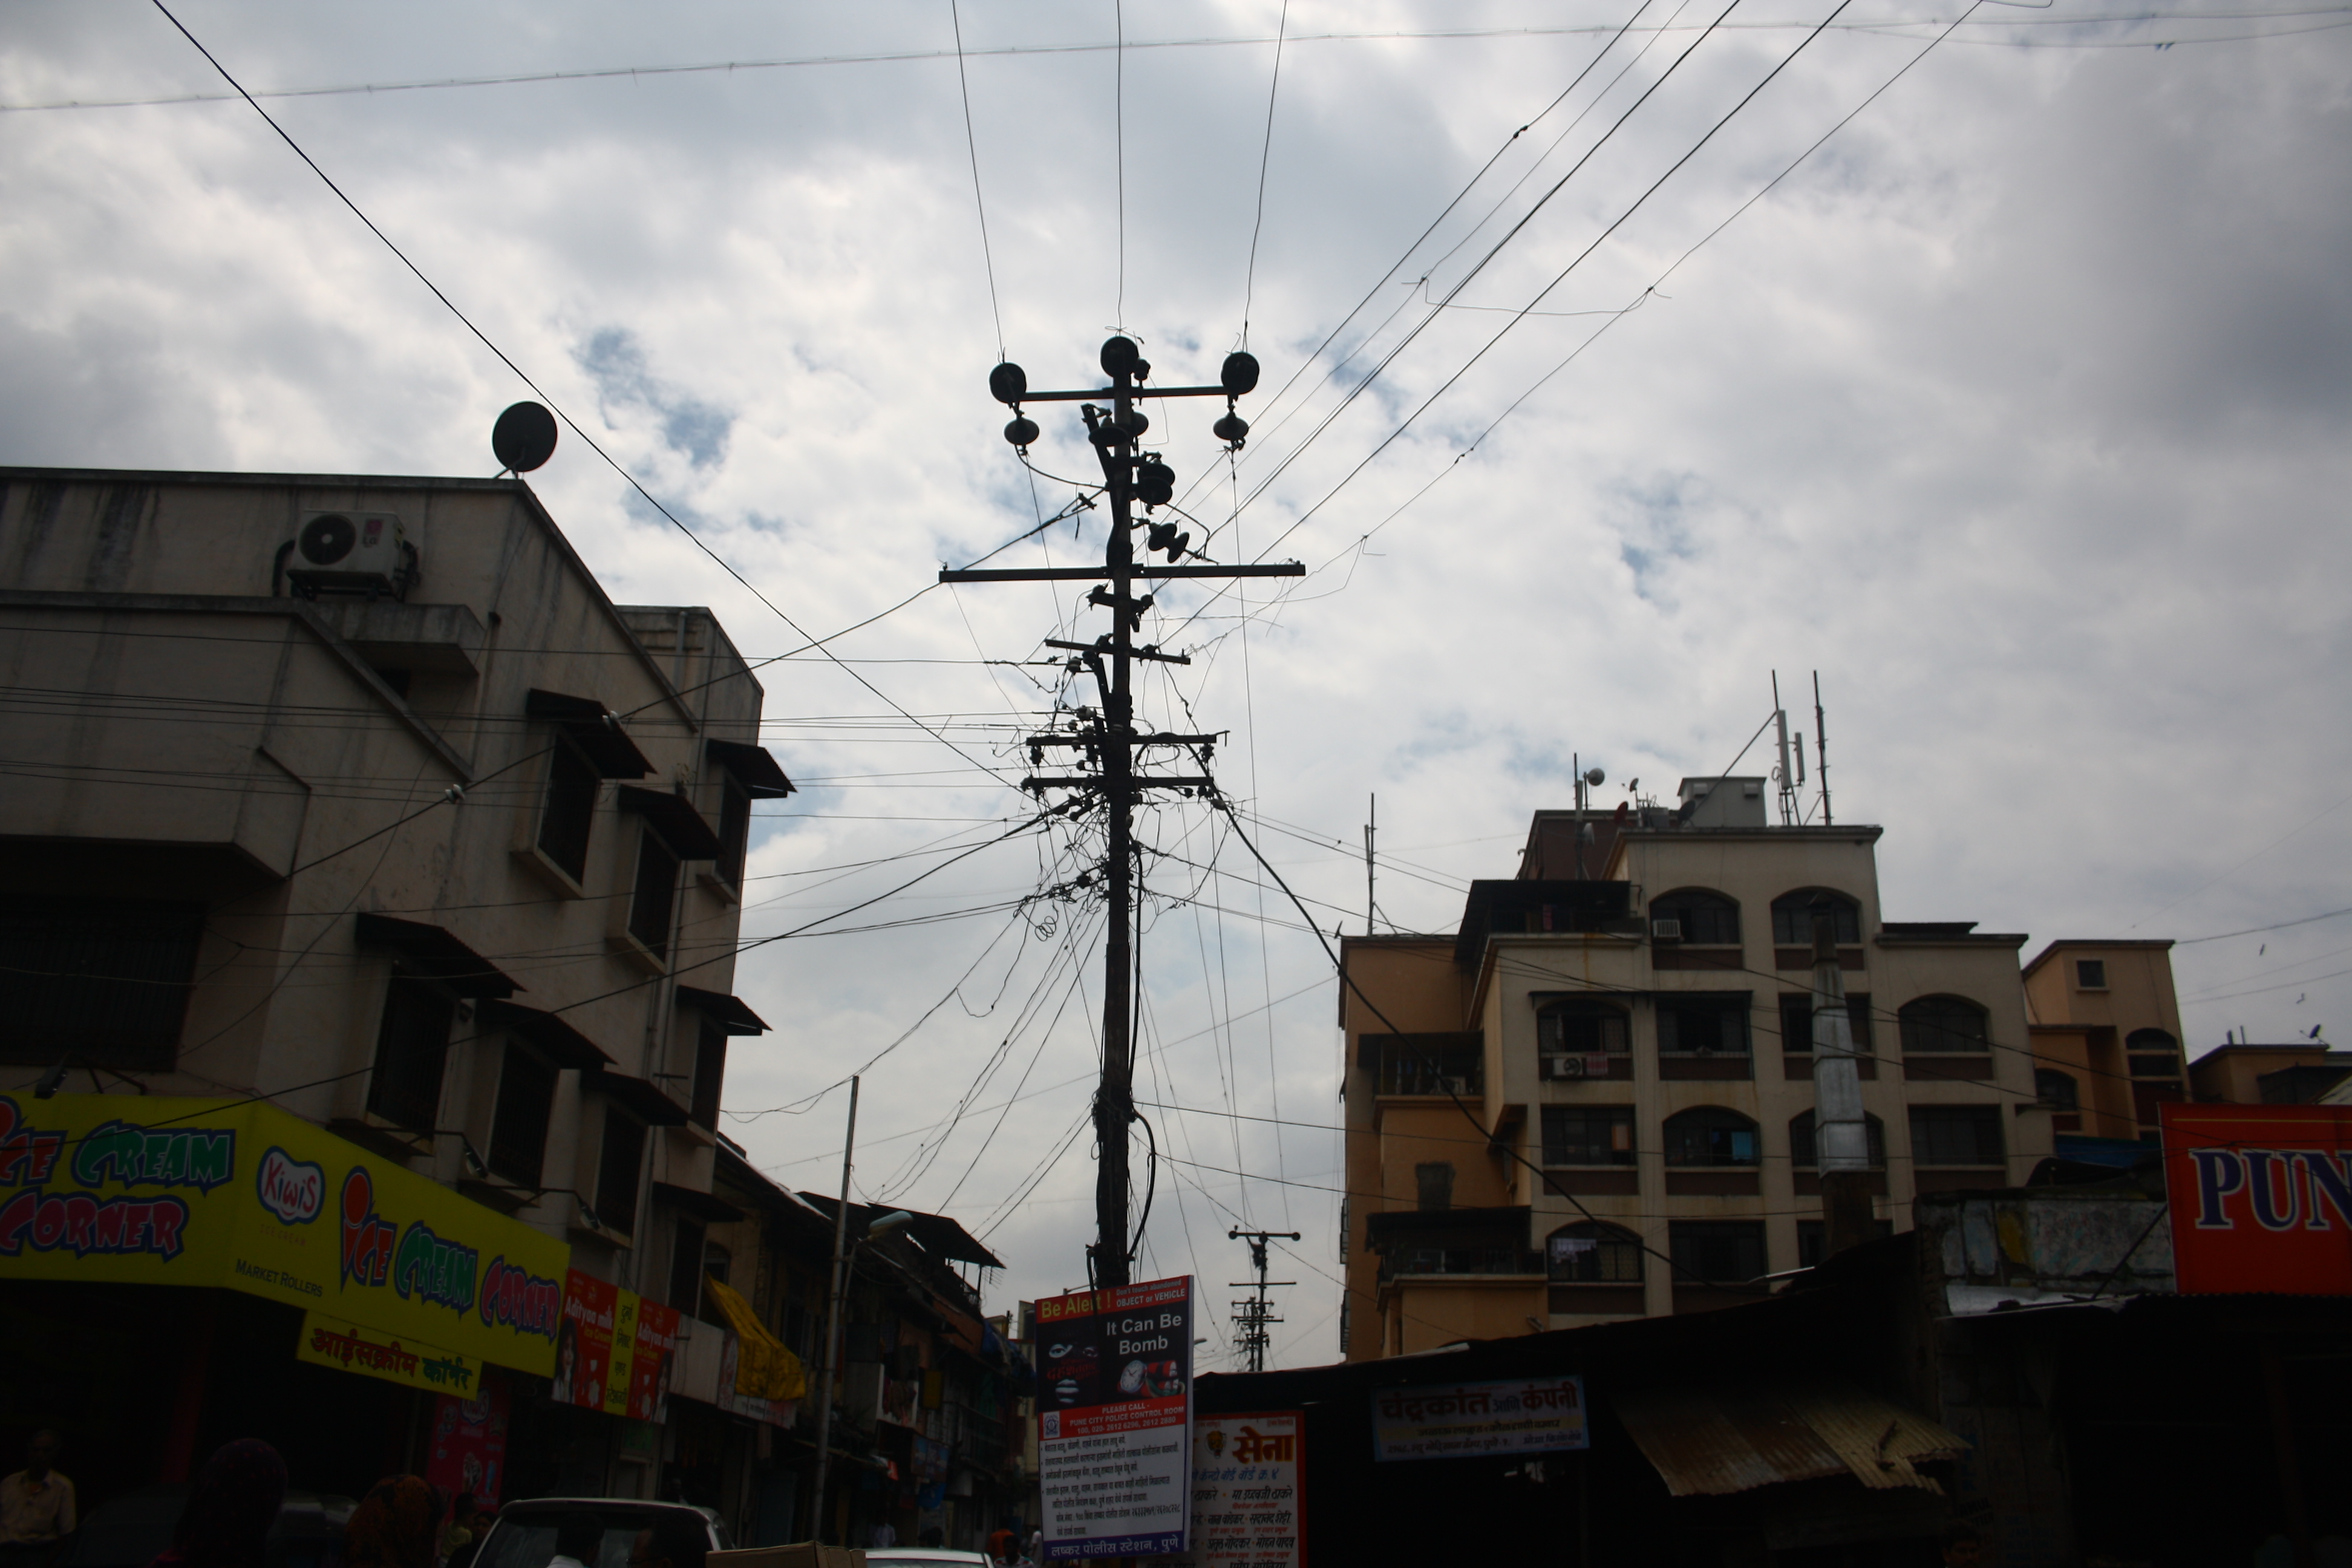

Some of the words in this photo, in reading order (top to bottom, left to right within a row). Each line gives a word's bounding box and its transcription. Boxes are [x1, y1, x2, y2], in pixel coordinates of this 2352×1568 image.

[70, 1123, 235, 1195] CREAM
[258, 1155, 322, 1215] Kiwis
[2, 1178, 195, 1263] CORNER
[335, 1163, 406, 1292] iCE
[232, 1256, 284, 1287] MARKET
[390, 1217, 485, 1312] CREAM
[275, 1270, 326, 1299] ROLLERS
[305, 1324, 423, 1382] आईसक्रीम
[474, 1255, 567, 1349] CORNER
[561, 1297, 603, 1326] Adityan
[612, 1324, 636, 1349] गिफ्ट
[619, 1299, 638, 1327] दुर्गा
[1042, 1296, 1067, 1322] Be
[1060, 1291, 1104, 1318] Alert
[1104, 1318, 1121, 1339] It
[1117, 1314, 1156, 1337] Can
[1116, 1331, 1171, 1359] Bomb
[1156, 1309, 1186, 1333] Be
[417, 1352, 477, 1393] कॉर्नर
[612, 1354, 630, 1379] एण्ड
[604, 1380, 631, 1406] स्टेशनरी
[1067, 1416, 1090, 1429] PUNE
[1085, 1411, 1108, 1428] CITY
[1099, 1400, 1131, 1416] PLEASE
[1102, 1408, 1131, 1425] POLICE
[1123, 1399, 1148, 1414] CALL
[1128, 1403, 1165, 1421] CONTROL
[1161, 1403, 1187, 1418] ROOM
[1379, 1385, 1496, 1428] चंद्रकांत
[1491, 1390, 1526, 1416] आणि
[1486, 1416, 1540, 1435] कोळशाची
[1514, 1375, 1585, 1414] कंपनी
[1226, 1422, 1298, 1466] सेना
[1220, 1466, 1241, 1483] बोर्ड
[1235, 1463, 1262, 1482] बोर्ड
[1255, 1463, 1283, 1485] क्र.४
[1191, 1483, 1221, 1504] ठाकरे
[1227, 1481, 1274, 1503] मा.उध्दवजी
[1271, 1480, 1299, 1502] ठाकरे
[1220, 1508, 1247, 1528] वाडेकर
[1250, 1507, 1278, 1527] सदानंद
[1272, 1505, 1296, 1527] शेट्टी
[1050, 1542, 1084, 1560] लष्कर
[1079, 1535, 1120, 1558] पोलीस
[1117, 1533, 1157, 1557] स्टेशन,
[1158, 1532, 1183, 1557] पुणे
[1203, 1532, 1226, 1555] अतुल
[1221, 1530, 1254, 1552] गोंदकर
[1252, 1531, 1280, 1552] मोहन य
[1275, 1534, 1298, 1552] यादव